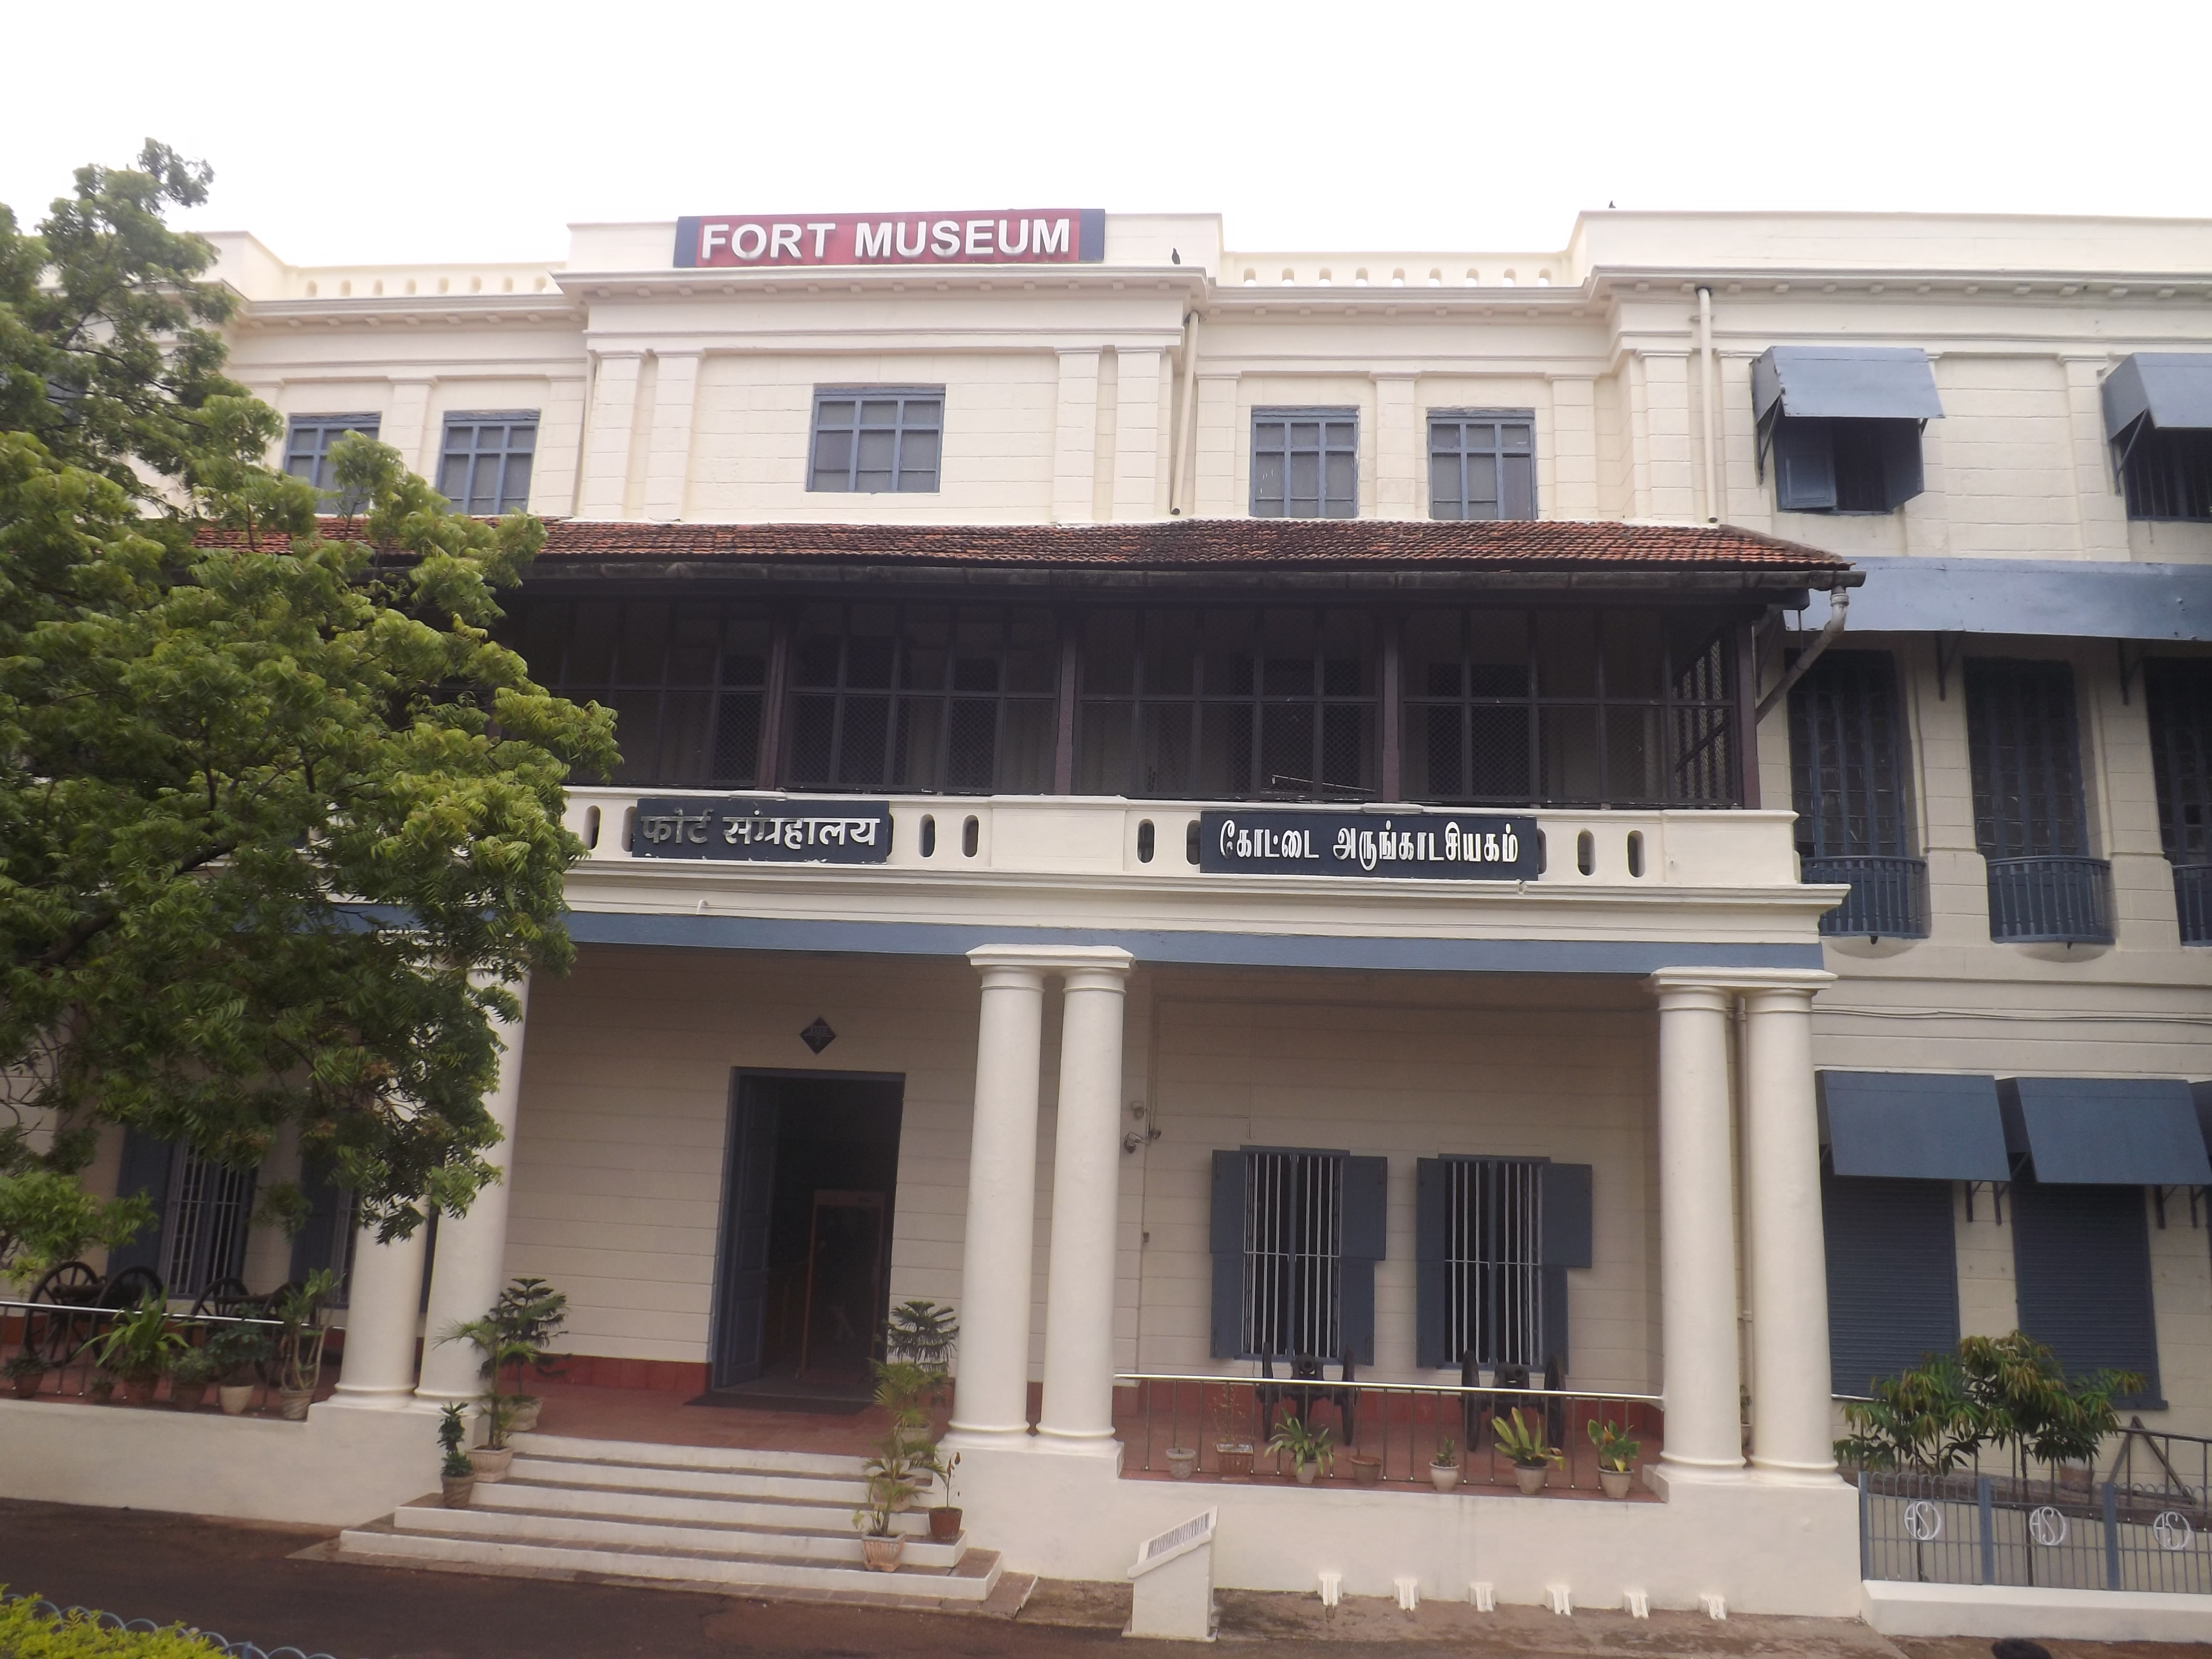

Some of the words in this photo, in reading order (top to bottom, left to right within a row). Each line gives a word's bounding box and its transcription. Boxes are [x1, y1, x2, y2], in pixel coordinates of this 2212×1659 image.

[699, 222, 839, 262] FORT
[853, 216, 1071, 258] MUSEUM
[639, 802, 715, 847] फोर्ट
[719, 807, 886, 853] संग्रहालय
[1217, 817, 1323, 860] கோட்டை
[1329, 817, 1523, 876] அருங்காடசியகம்